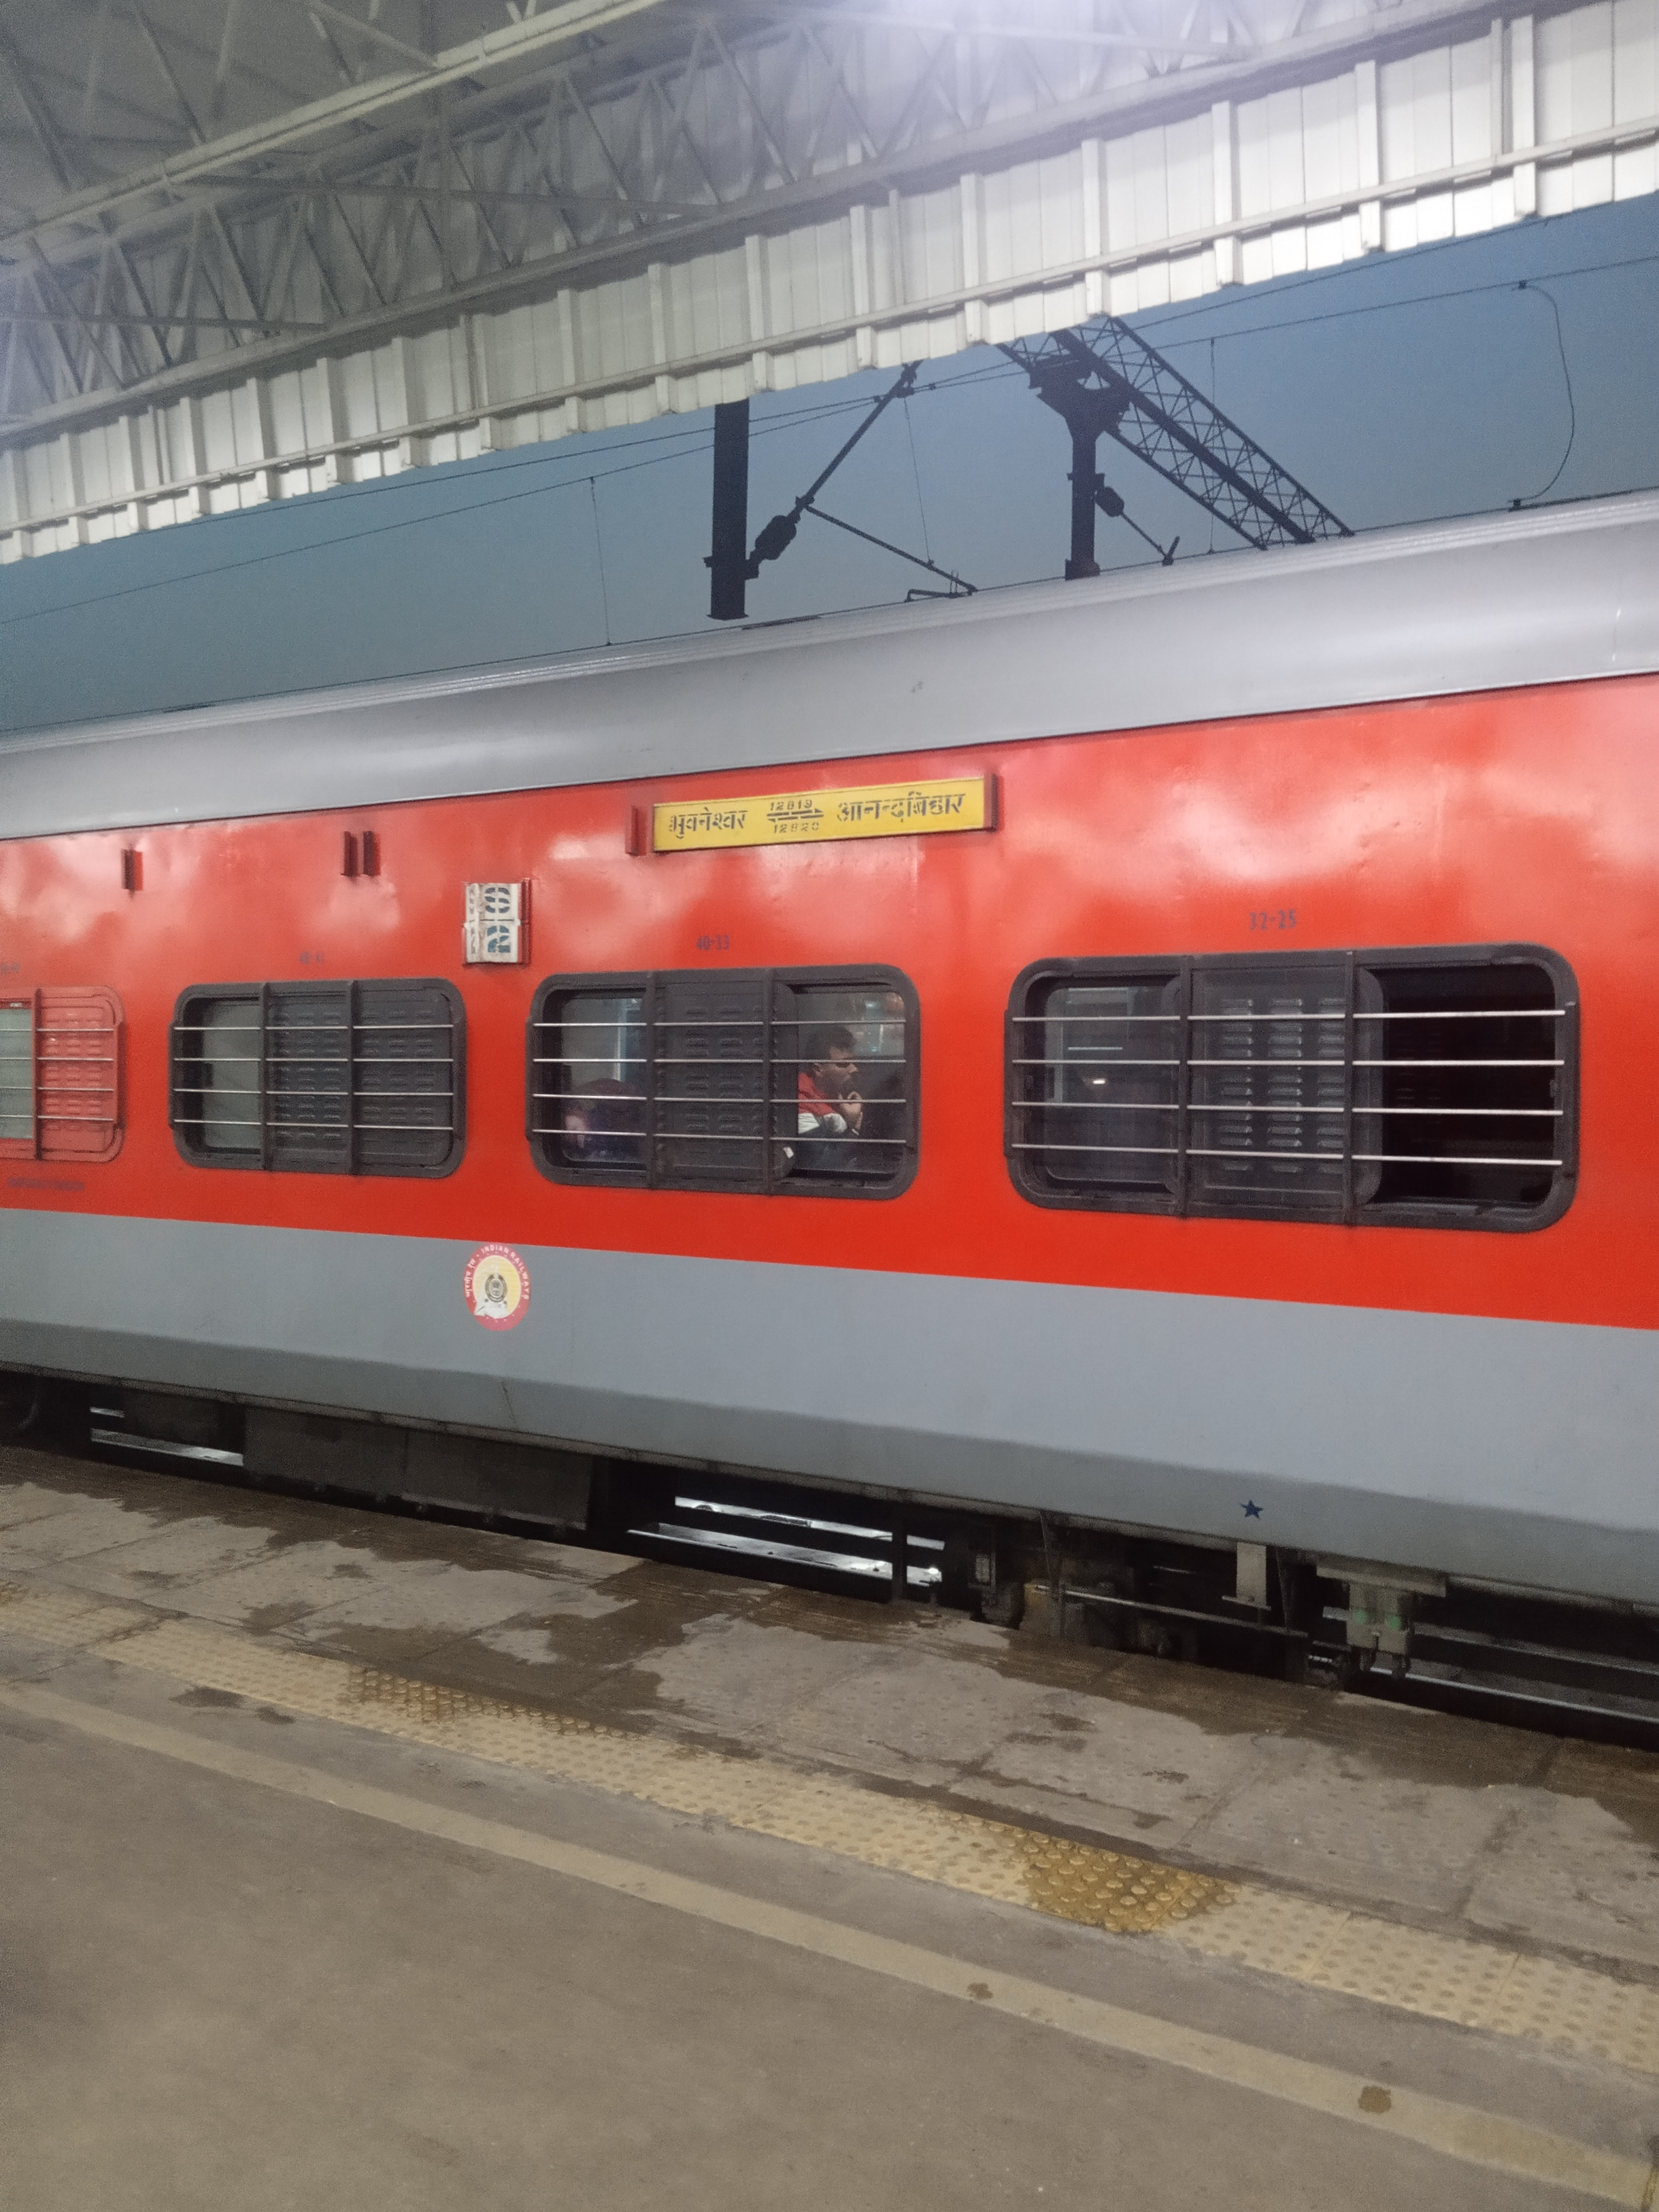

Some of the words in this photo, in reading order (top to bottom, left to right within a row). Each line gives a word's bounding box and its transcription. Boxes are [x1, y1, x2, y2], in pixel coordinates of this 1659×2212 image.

[667, 807, 750, 842] भुवनेश्वर
[768, 798, 814, 812] 12819
[773, 820, 819, 836] 12820
[835, 790, 967, 825] आनन्दबिहार